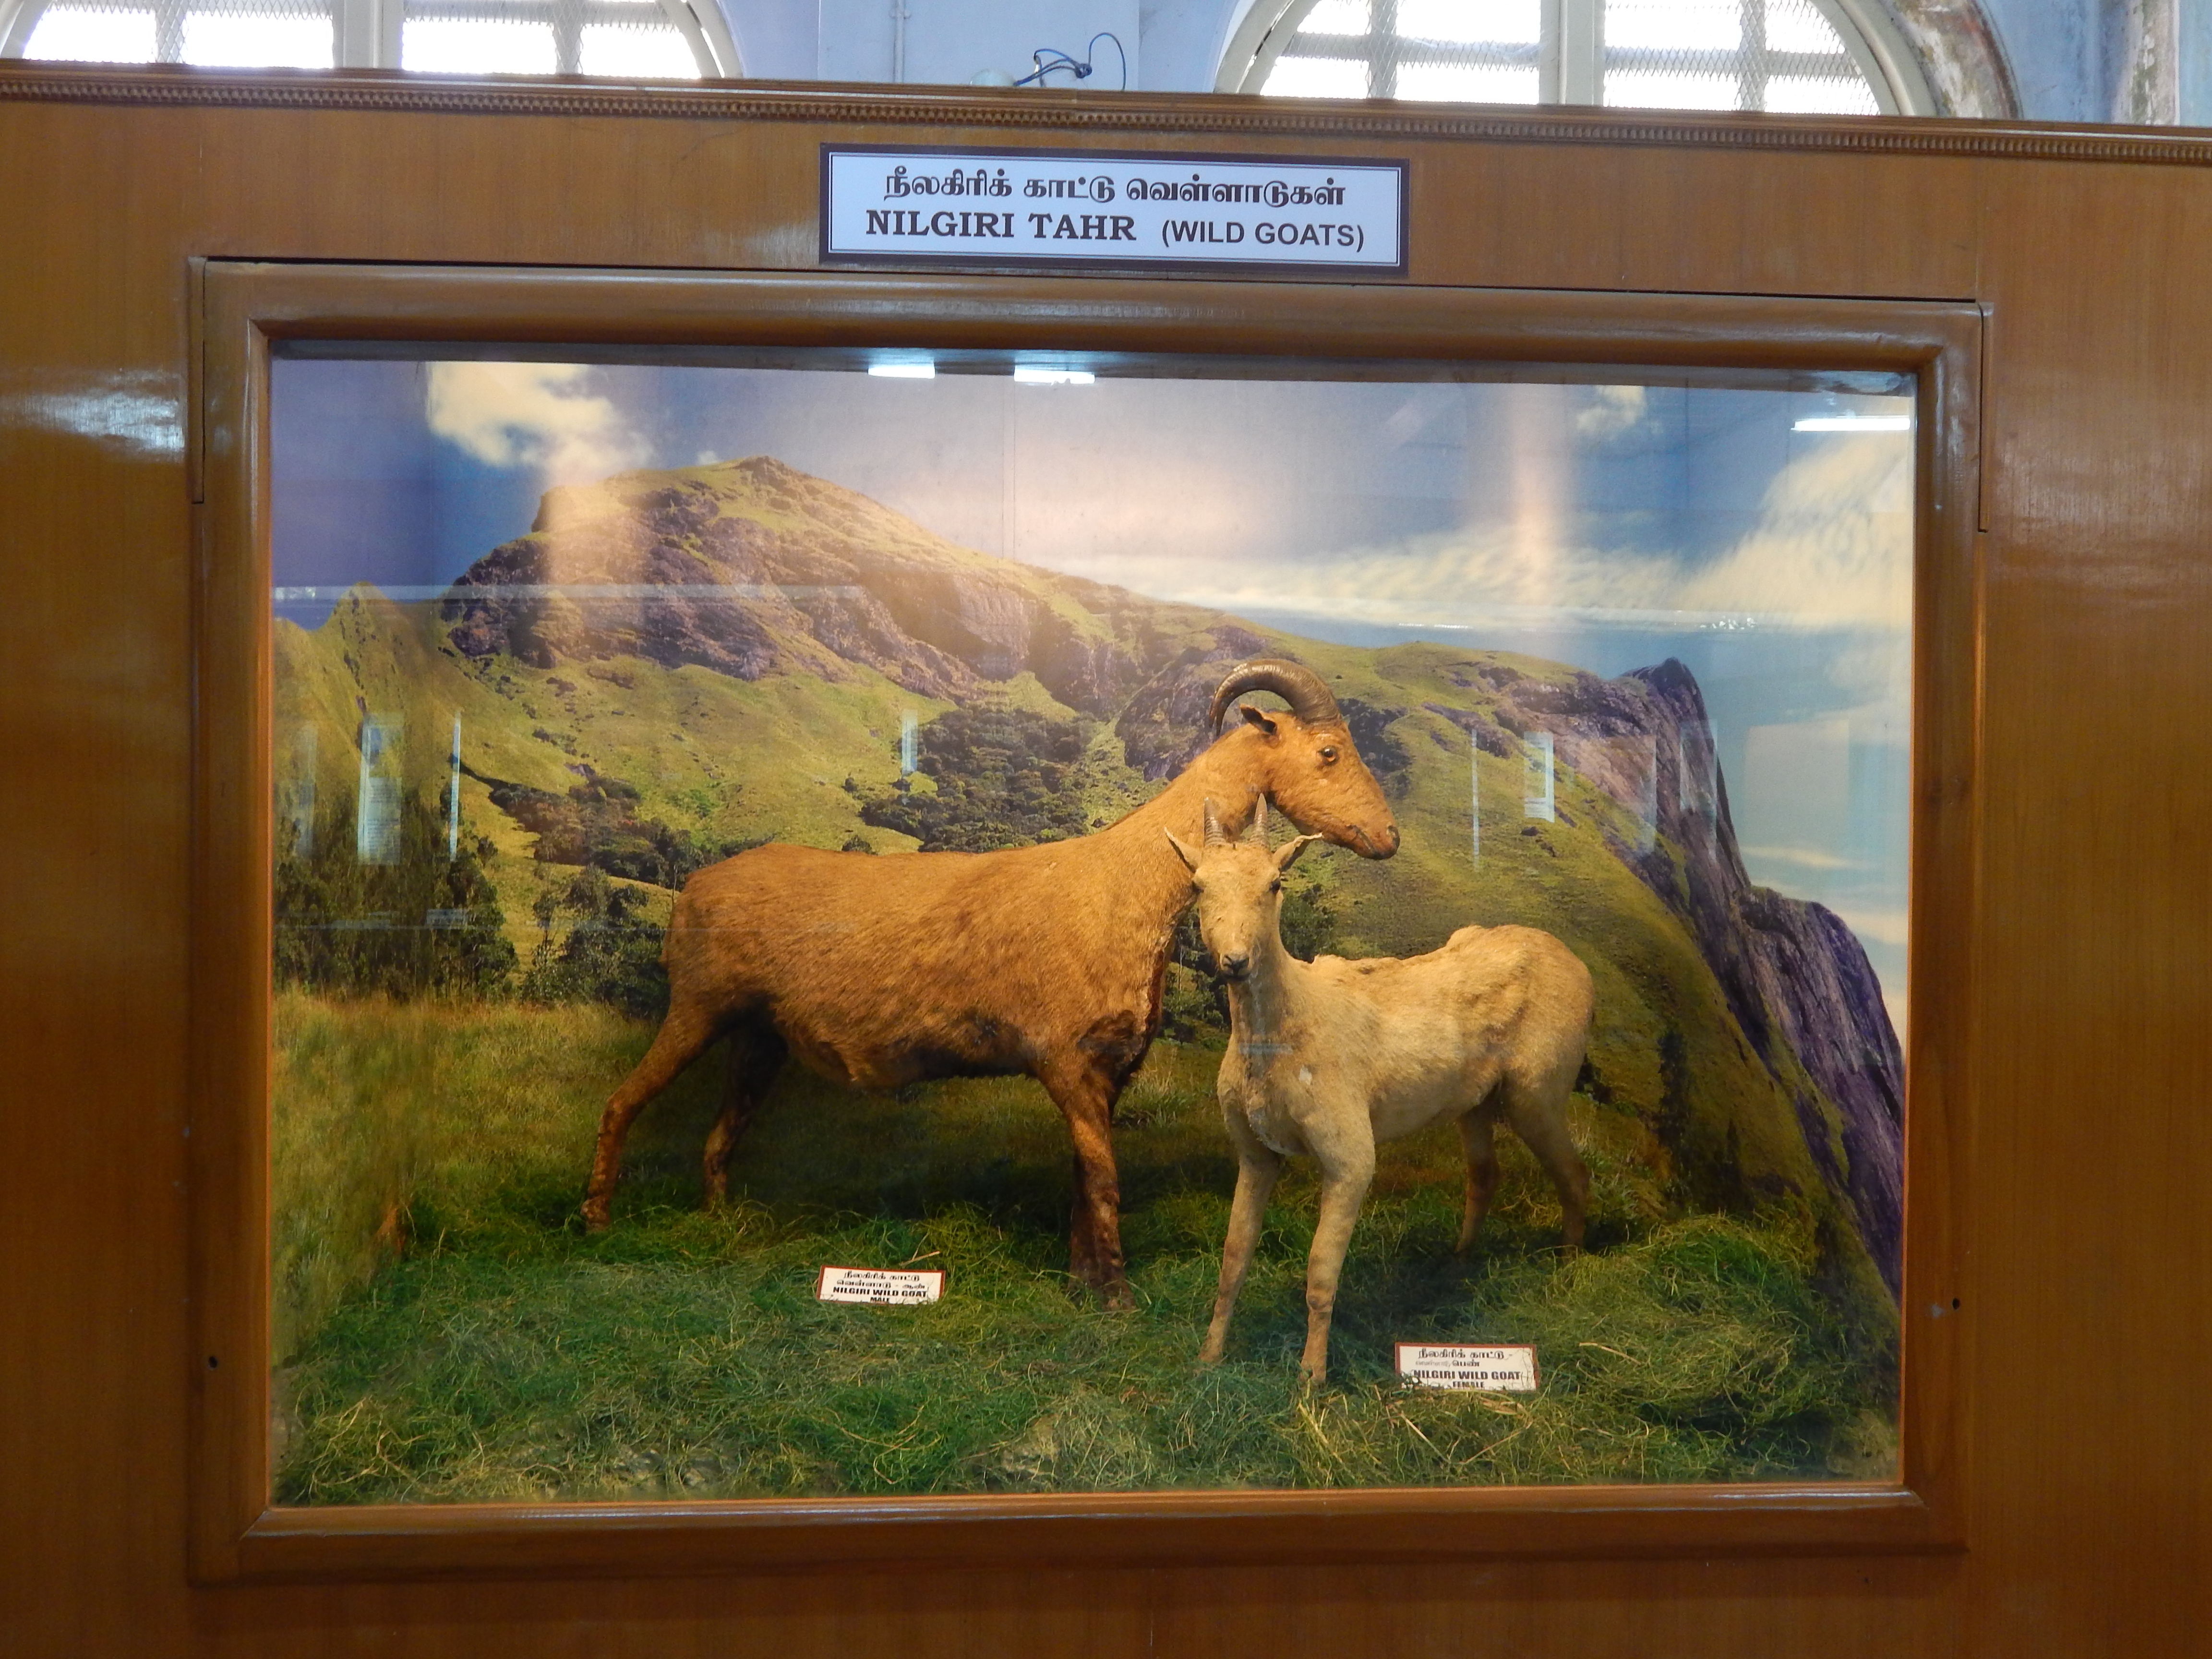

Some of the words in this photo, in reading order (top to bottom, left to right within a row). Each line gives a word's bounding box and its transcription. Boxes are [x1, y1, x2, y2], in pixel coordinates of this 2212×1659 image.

[875, 159, 1014, 203] நீலகிரிக்
[1019, 174, 1115, 205] காட்டு
[1121, 165, 1351, 212] வெள்ளாடுகள்
[864, 204, 1017, 240] NILGIRI
[1023, 207, 1140, 246] TAHR
[1167, 216, 1249, 246] WILD
[1251, 216, 1362, 252] GOATS
[831, 1284, 873, 1297] NILGIRI
[833, 1276, 891, 1291] வெள்ளாடு
[841, 1266, 888, 1281] நீலகிாிக்
[866, 1291, 892, 1304] MALE
[870, 1286, 901, 1297] WILD
[887, 1272, 922, 1283] காட்டு
[899, 1287, 928, 1298] GOAT
[1417, 1343, 1467, 1360] நீலகிரிக்
[1448, 1356, 1483, 1368] பெண்
[1469, 1348, 1507, 1363] காட்டு
[1412, 1368, 1456, 1379] NILGIRI
[1456, 1368, 1491, 1380] WILD
[1490, 1369, 1524, 1381] GOAT
[1450, 1379, 1487, 1389] FEMALE